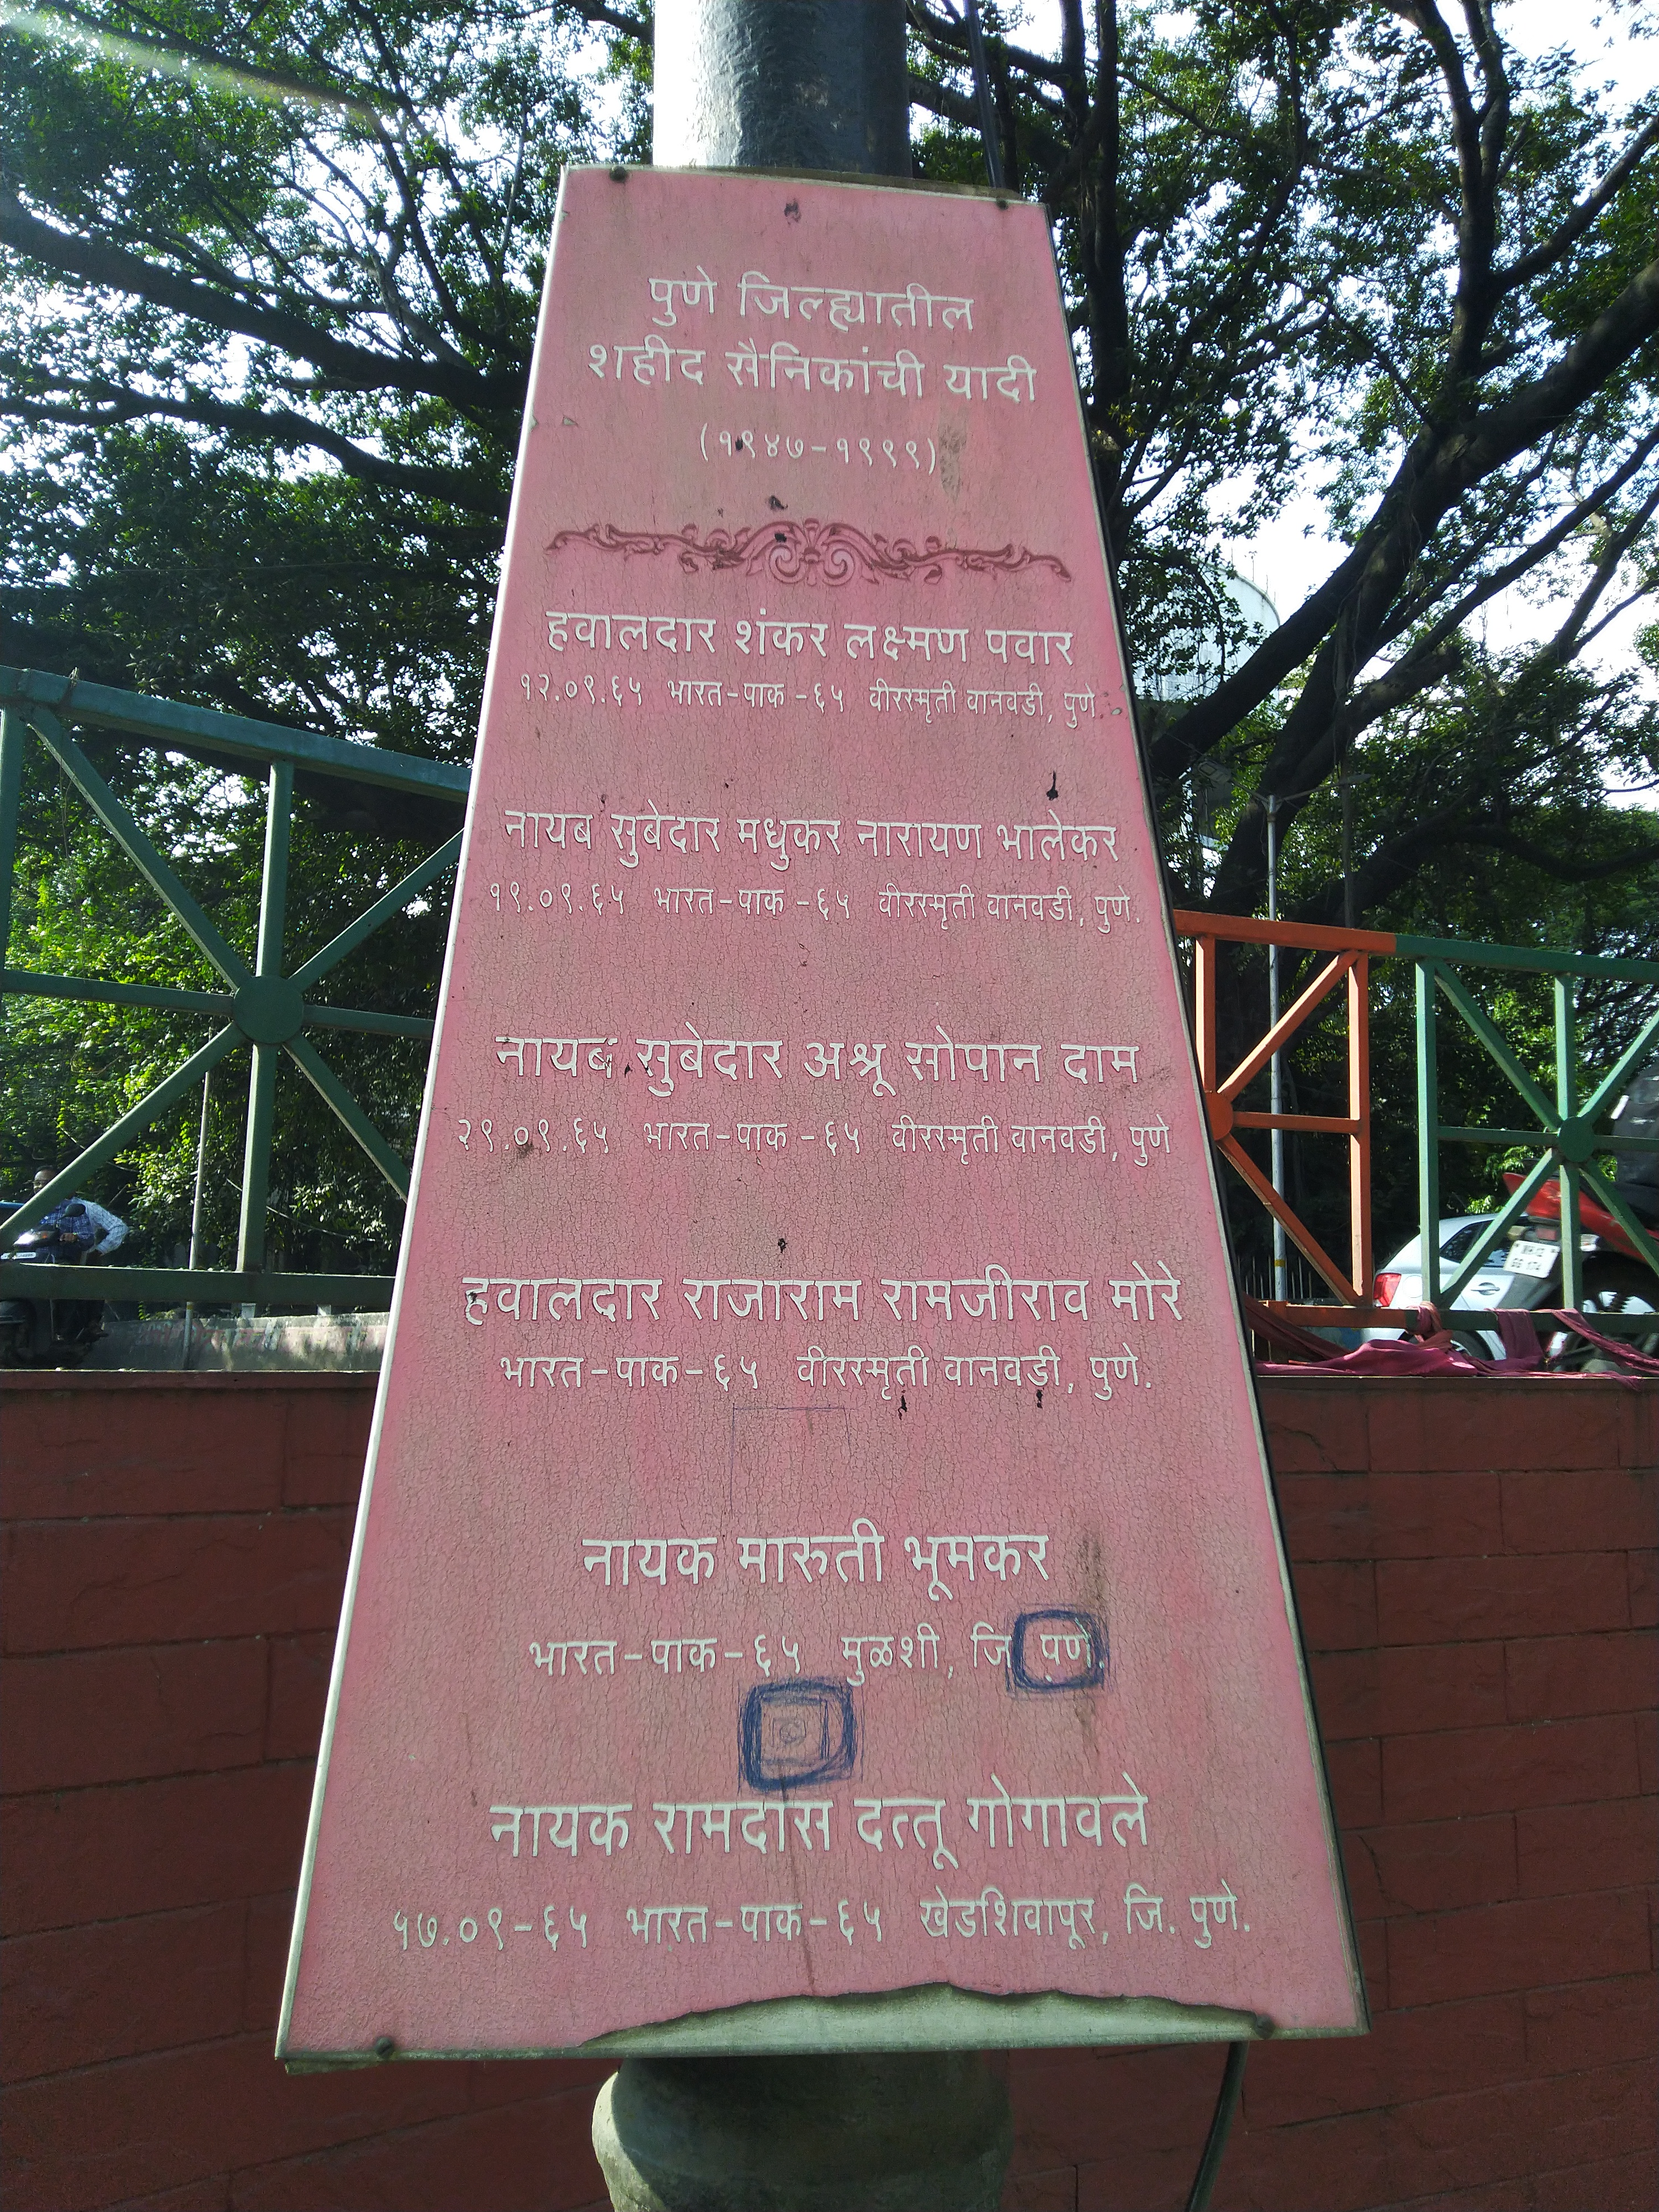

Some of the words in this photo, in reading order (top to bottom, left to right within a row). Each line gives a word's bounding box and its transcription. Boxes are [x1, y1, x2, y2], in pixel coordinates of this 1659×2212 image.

[638, 260, 727, 332] पुणे
[727, 253, 993, 341] जिल्ह्यातील
[580, 328, 715, 394] शहीद
[715, 332, 933, 403] सैनिकांची
[937, 342, 1048, 410] यादी
[691, 415, 956, 479] (१९४७-१९९९)
[541, 599, 725, 659] हवालदार
[726, 602, 840, 662] शंकर
[837, 613, 979, 674] लक्ष्मण
[975, 614, 1082, 676] पवार
[509, 664, 660, 711] १९.०१.६५
[660, 671, 741, 712] भारत-
[738, 675, 854, 719] पाक-६५
[857, 672, 964, 728] वीरस्मृती
[960, 678, 1060, 729] वानवडी,
[1053, 680, 1110, 733] पुणे
[498, 808, 600, 853] नायब
[607, 795, 728, 873] सुबेदर
[731, 815, 847, 874] मधुकर
[851, 815, 988, 865] नारायण
[990, 804, 1124, 869] भालेकर
[479, 877, 631, 923] १९.०१.६५
[647, 883, 735, 920] भारत-
[735, 884, 860, 925] पाक-६५
[871, 877, 978, 933] वीरस्मृती
[983, 880, 1086, 931] वानवडी,
[1088, 880, 1144, 937] पुणे.
[486, 1032, 623, 1086] नायब
[627, 1018, 789, 1109] सुबेदार
[795, 1037, 901, 1102] अश्रू
[899, 1018, 1051, 1089] सोपान
[1057, 1041, 1145, 1093] दाम
[445, 1110, 615, 1165] २९.०१.६५
[640, 1117, 734, 1159] भारत-
[733, 1117, 870, 1159] पाक-६५
[885, 1110, 1005, 1171] वीरस्मृती
[1004, 1110, 1124, 1167] वानवडी,
[1124, 1108, 1180, 1171] पुणे
[451, 1274, 667, 1335] हवालदार
[671, 1272, 868, 1327] राजाराम
[873, 1256, 1095, 1330] रामजीराव
[1100, 1254, 1192, 1330] मोरे
[491, 1350, 612, 1398] भारत-
[610, 1350, 763, 1400] पाक-६५
[789, 1340, 933, 1406] वीरस्मृती
[938, 1340, 1080, 1399] वानवडी,
[1083, 1338, 1159, 1404] पुणे.
[567, 1532, 728, 1591] नायक
[729, 1512, 892, 1592] मारुती
[899, 1524, 1060, 1606] भूमकर
[519, 1631, 648, 1678] भारत-
[646, 1621, 807, 1679] पाक-६५
[831, 1618, 959, 1689] मुळशी,
[961, 1615, 1016, 1682] जि
[481, 1800, 640, 1862] नायक
[642, 1797, 841, 1861] रामदास
[843, 1794, 965, 1875] दत्तू
[962, 1767, 1159, 1859] गोगावले
[385, 1898, 596, 1958] ५७.०९-६५
[618, 1902, 738, 1954] भारत-
[735, 1893, 888, 1950] पाक-६५
[912, 1881, 1114, 1953] खेडशिवापूर,
[1112, 1872, 1181, 1943] जि.
[1183, 1869, 1261, 1959] पुणे.